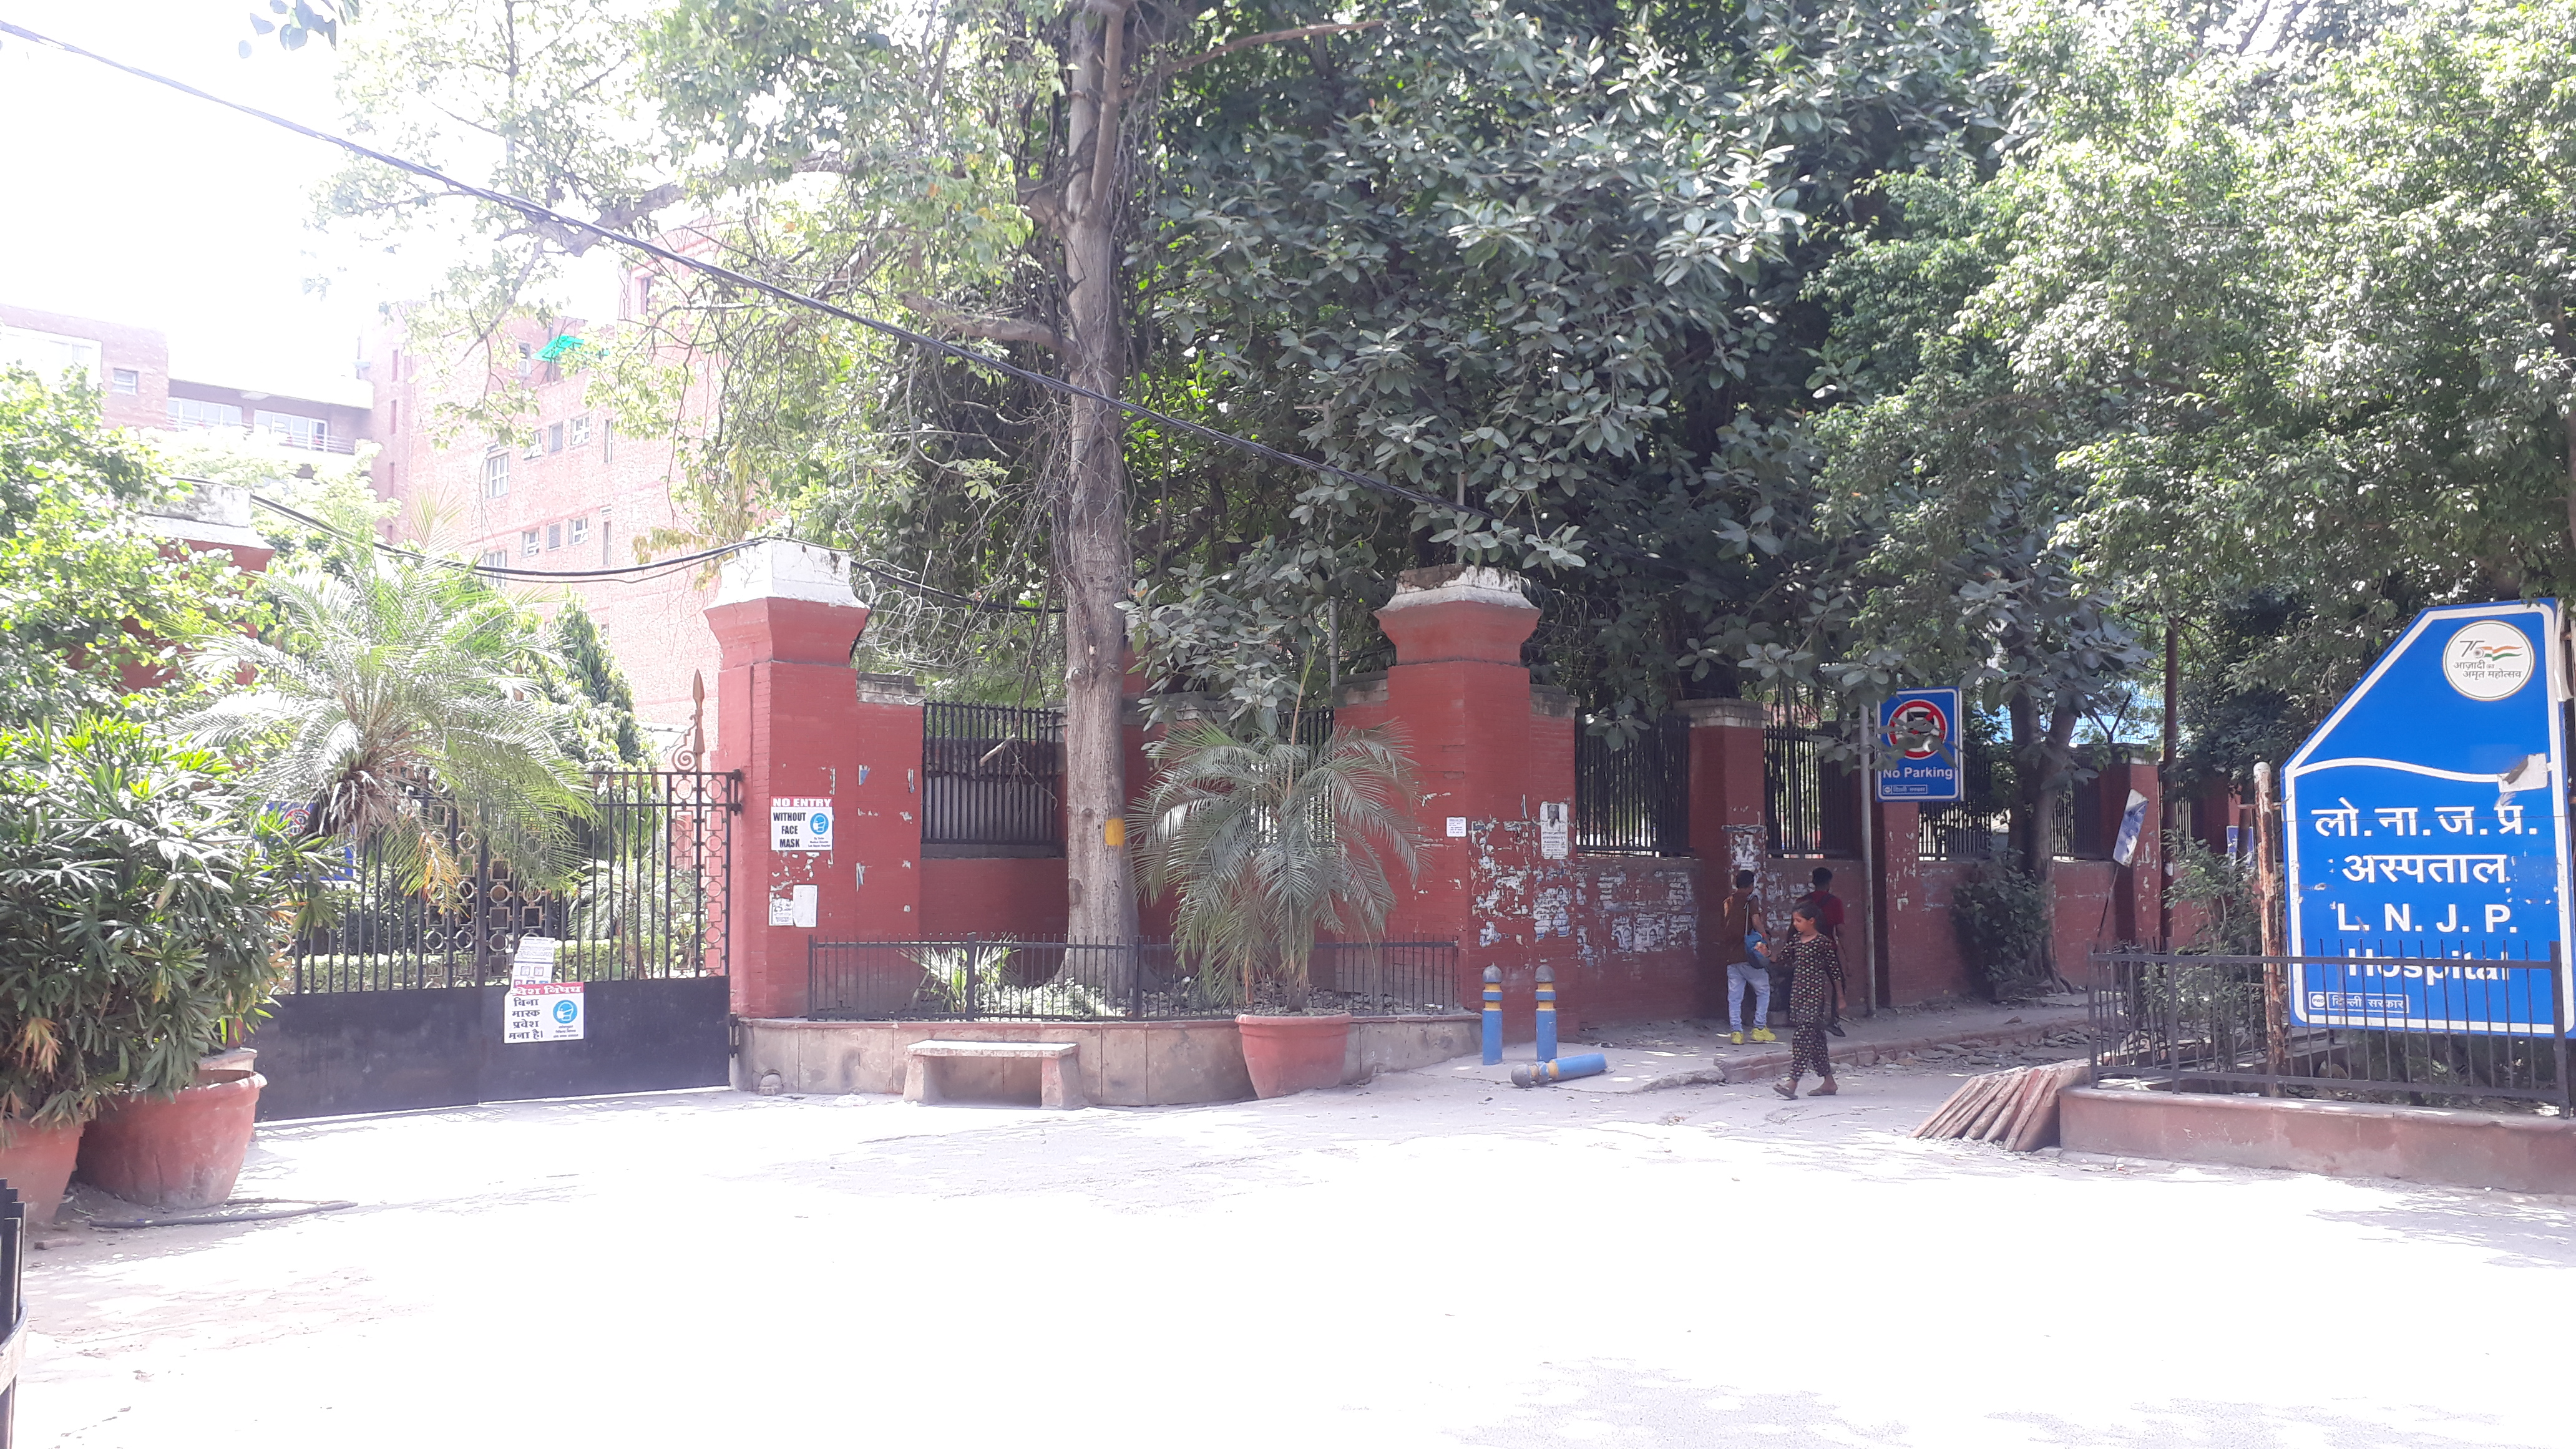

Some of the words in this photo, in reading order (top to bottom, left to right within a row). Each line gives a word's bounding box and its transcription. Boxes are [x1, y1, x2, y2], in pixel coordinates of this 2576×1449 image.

[2452, 656, 2489, 673] आज़ादी
[2462, 667, 2487, 683] अमृत
[2486, 666, 2524, 682] महोत्सव
[1880, 767, 1903, 781] NO
[1902, 762, 1955, 781] Parking
[772, 796, 792, 811] NO
[791, 796, 832, 810] ENTRY
[772, 811, 808, 824] WITHOUT
[2309, 792, 2374, 840] लो.
[2373, 802, 2436, 839] ना.
[2432, 801, 2492, 838] ज.
[2488, 801, 2542, 839] प्र.
[778, 822, 801, 837] FACE
[777, 837, 802, 849] MASK
[2338, 849, 2510, 887] अस्पताल
[2334, 899, 2373, 935] L.
[2381, 899, 2426, 934] N.
[2431, 900, 2470, 937] J.
[2484, 899, 2517, 937] P.
[508, 984, 542, 998] वेश
[537, 980, 583, 995] निषेध
[510, 994, 542, 1008] बिना
[2325, 989, 2363, 1010] दि ल्ली
[2363, 997, 2407, 1012] सरकार
[510, 1007, 542, 1019] मास्क
[509, 1017, 542, 1031] प्रवेश
[506, 1029, 530, 1043] मना
[530, 1025, 545, 1043] है।